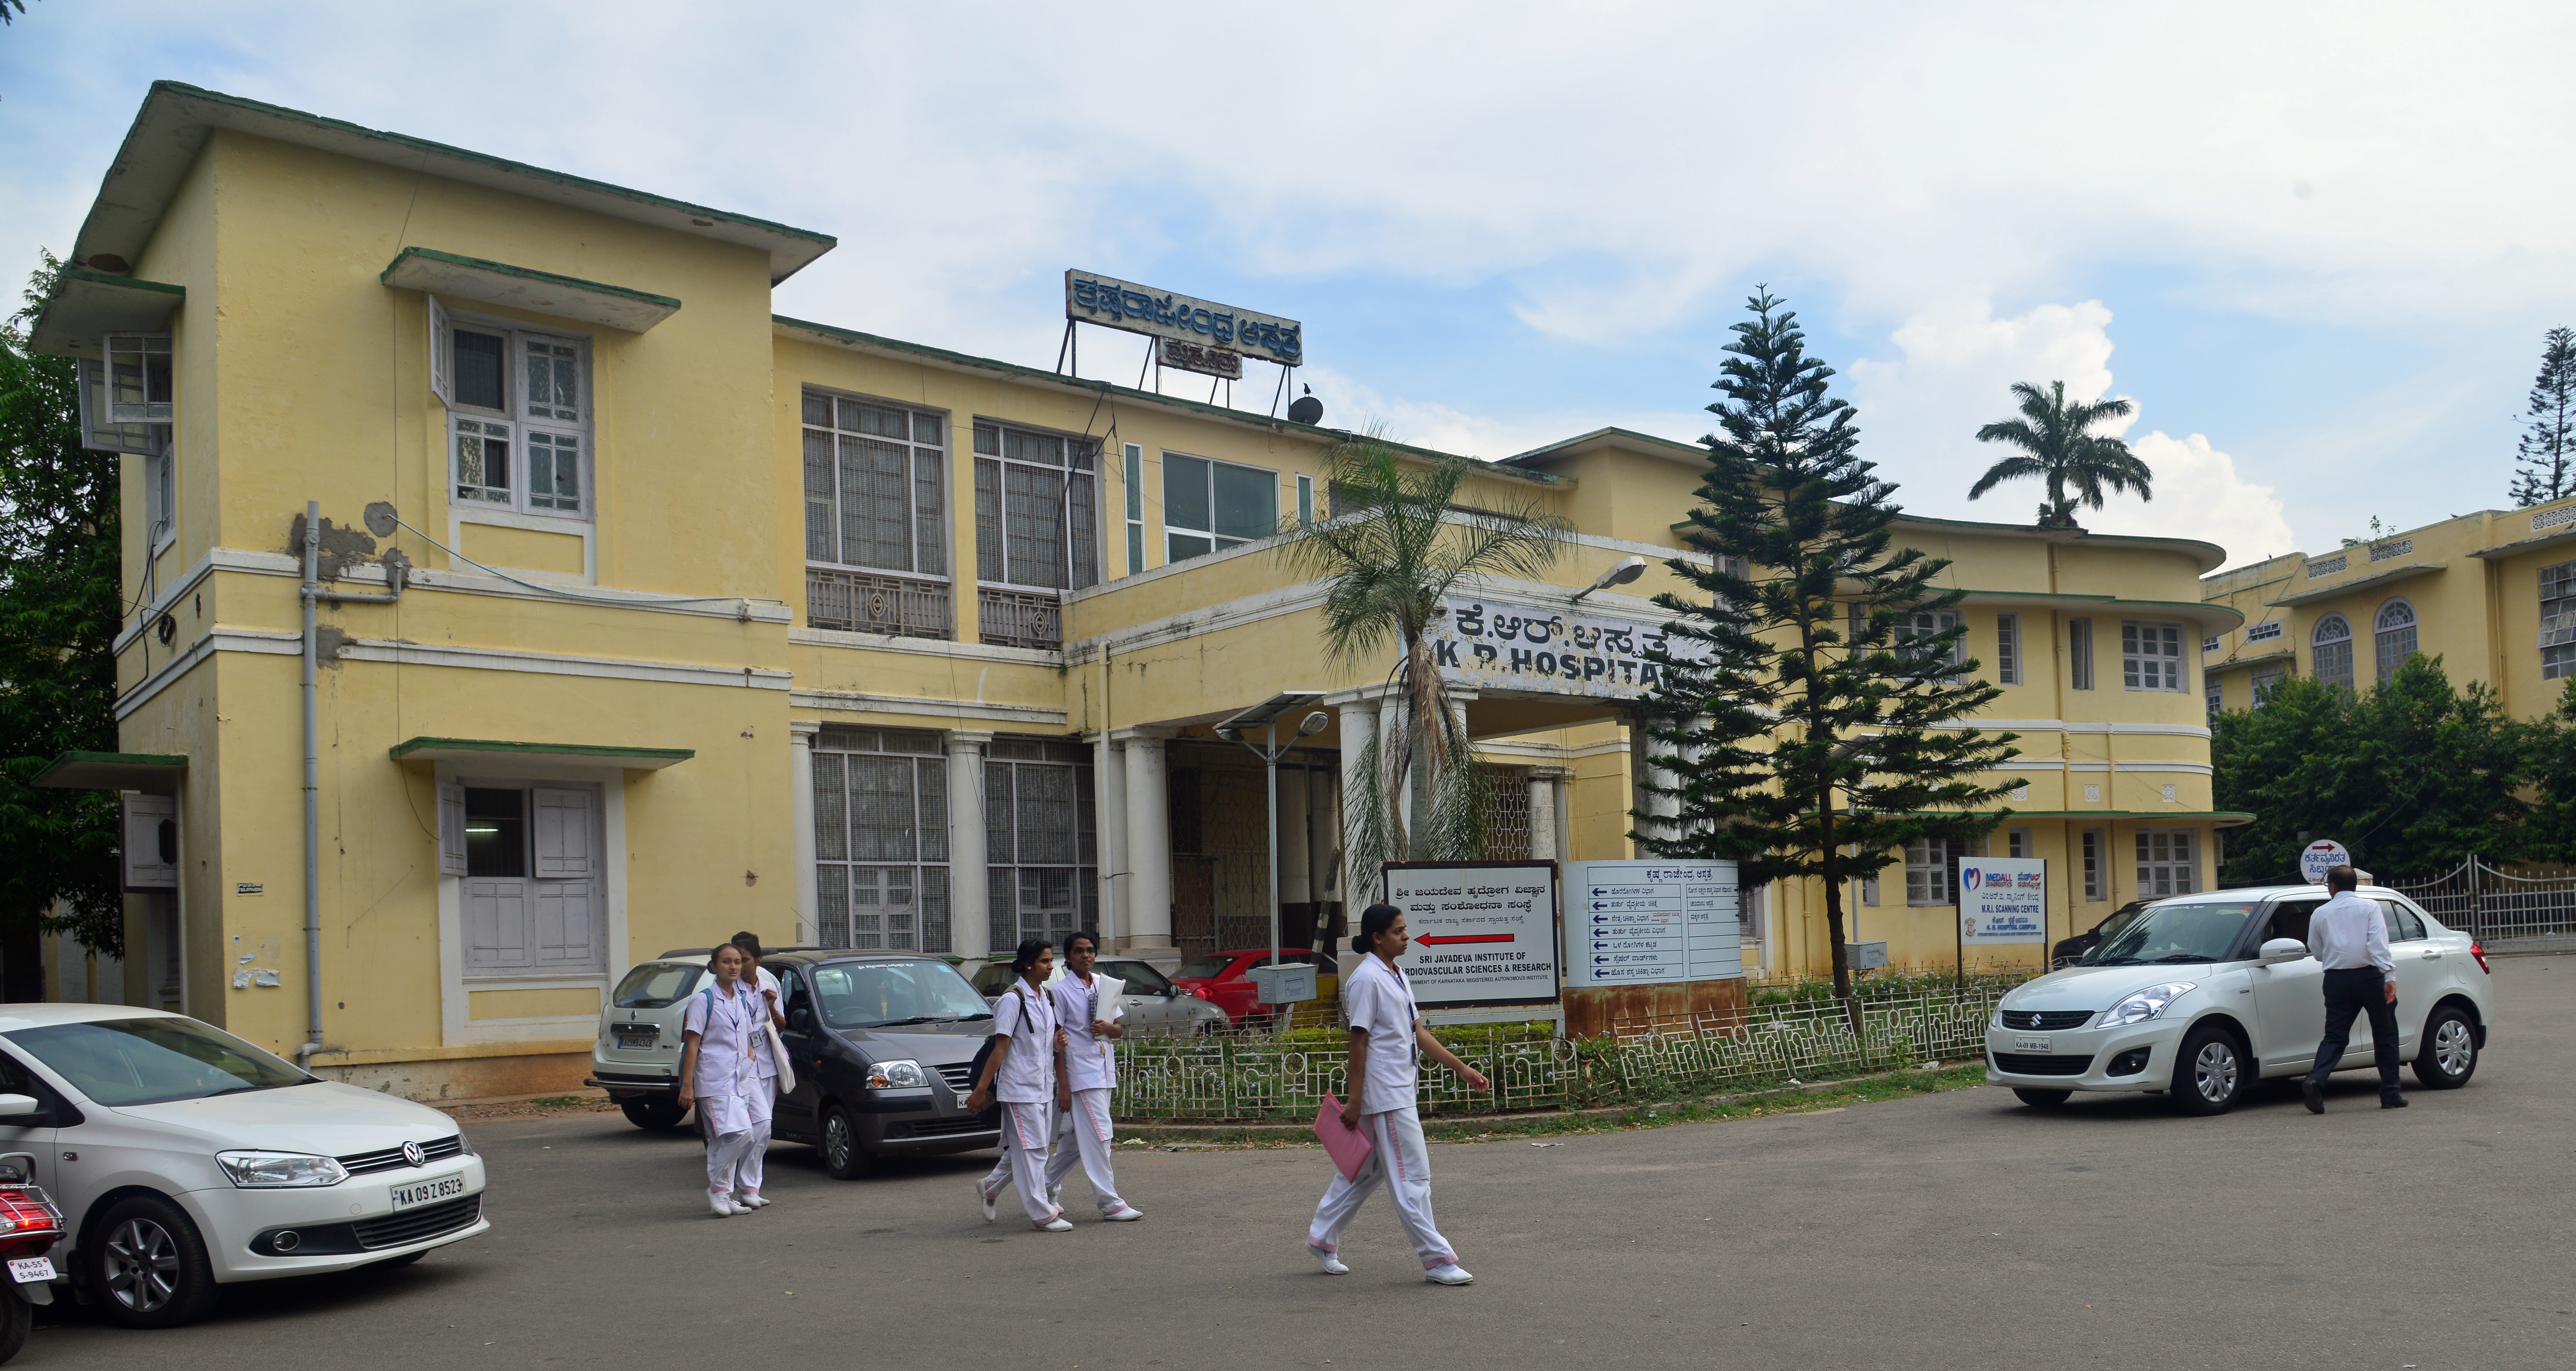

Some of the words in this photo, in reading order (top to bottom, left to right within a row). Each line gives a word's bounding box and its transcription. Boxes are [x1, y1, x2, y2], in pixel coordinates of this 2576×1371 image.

[1073, 274, 1237, 346] ಕೃಷ್ಣರಾಜೇಂದ್ರ ಆಸ್ಪತ್ರೆ
[1236, 315, 1305, 363] ಆಸ್ಪತ್ರ
[1162, 337, 1241, 375] ಮ್ರಸೂಮ
[1455, 599, 1567, 647] ಕೆ.ಆರ್
[1569, 621, 1673, 661] ಆಸ್ಪತ್ರೆ
[1435, 634, 1509, 674] KR
[1510, 645, 1680, 696] HOSPITAL
[2303, 850, 2347, 866] ಕರ್ತವ್ರನಿರತ
[1645, 864, 1665, 884] ಕೃಷ್ಣ
[1659, 866, 1696, 883] ರಾಜೇಂದ್ರ
[1692, 867, 1716, 884] ಆಸ್ಪತ್ರ
[1984, 871, 2014, 883] MEDALL
[1391, 881, 1412, 902] ಶ್ರೀ
[1414, 884, 1464, 898] ಜಯದೇವ
[1466, 883, 1511, 901] ಹೃದ್ರೋಗ
[1513, 883, 1548, 899] ವಿಜ್ಞಾನ
[1611, 886, 1641, 895] ಹೊರರೋಗಿಗಳ
[1639, 887, 1655, 896] ವಿಭಾಗ
[1686, 885, 1699, 895] ರೋಗ
[1705, 884, 1723, 897] ಶಾಸ್ತ್ರವಿಭಾಗ
[1980, 889, 2005, 901] ಎಂ.ಆರ್.ಐ.
[1984, 880, 2014, 888] DIAGNOSTICS
[2025, 890, 2040, 902] ಕೇಂದ್ರ
[1407, 900, 1440, 916] ಮತ್ತು
[1415, 917, 1445, 926] ಕರ್ನಾಟಕ
[1443, 916, 1462, 927] ರಾಜ್ಯ
[1440, 899, 1505, 913] ಸಂಶೋಧನಾ
[1458, 915, 1487, 924] ಸರ್ಕಾರದ
[1486, 914, 1511, 926] ಸ್ವಾಯತ್ತ
[1509, 913, 1526, 926] ಸಂಸ್ಥೆ
[1505, 896, 1534, 916] ಸಂಸ್ಥೆ
[1610, 911, 1624, 924] ನೇತ್ರ
[1610, 898, 1625, 909] ತುರ್ತು
[1612, 926, 1627, 936] ತುರ್ತು
[1622, 913, 1638, 924] ಚಕಿತ್ಸ
[1625, 898, 1647, 912] ವೈದ್ಯಕೀಯ
[1626, 926, 1652, 937] ವೈದ್ಯಕೀಯ
[1635, 913, 1650, 923] ವಿಭಾಗ
[1645, 899, 1660, 908] ಚಕಿತ್ಸ
[1650, 923, 1667, 936] ವಿಭಾಗ
[1650, 908, 1673, 917] ಮನೋರೋಗ
[1689, 899, 1708, 908] ಚಲುವಾಂಬ
[1980, 903, 1995, 914] M.R.I.
[1986, 923, 2019, 931] K.R.HOSPITAL
[1993, 903, 2021, 915] SCANNING
[2018, 923, 2039, 931] CAMPUS
[2019, 904, 2039, 914] CENTRE
[1611, 941, 1622, 950] ಒಳ
[1621, 938, 1645, 950] ರೋಗಿಗಳ
[1644, 938, 1658, 951] ಕಟ್ಟಡ
[1416, 954, 1435, 965] SRI
[1432, 952, 1475, 966] JAYADEVA
[1472, 950, 1515, 963] INSTITUTE
[1514, 949, 1528, 962] OF
[1611, 954, 1630, 965] ಸ್ಪಷಲ್
[1629, 952, 1659, 964] ವಾರ್ಡ್‌ಗಳು
[1404, 963, 1464, 977] RDIOVASCULAR
[1463, 962, 1505, 975] SCIENCES
[1501, 962, 1511, 974] &
[1511, 962, 1553, 974] RESEARCH
[1609, 966, 1627, 976] ಹೊಸ
[1634, 965, 1651, 977] ಚಕಿತ್ಸ
[1648, 965, 1666, 977] ವಿಭಾಗ
[1429, 977, 1438, 986] OF
[1435, 977, 1466, 984] KARNATAKA
[1464, 975, 1494, 984] REGISTERED
[1493, 972, 1526, 983] AUTONOMOUS
[1526, 973, 1549, 982] INSTITUTE
[388, 1174, 467, 1209] KA09Z8523